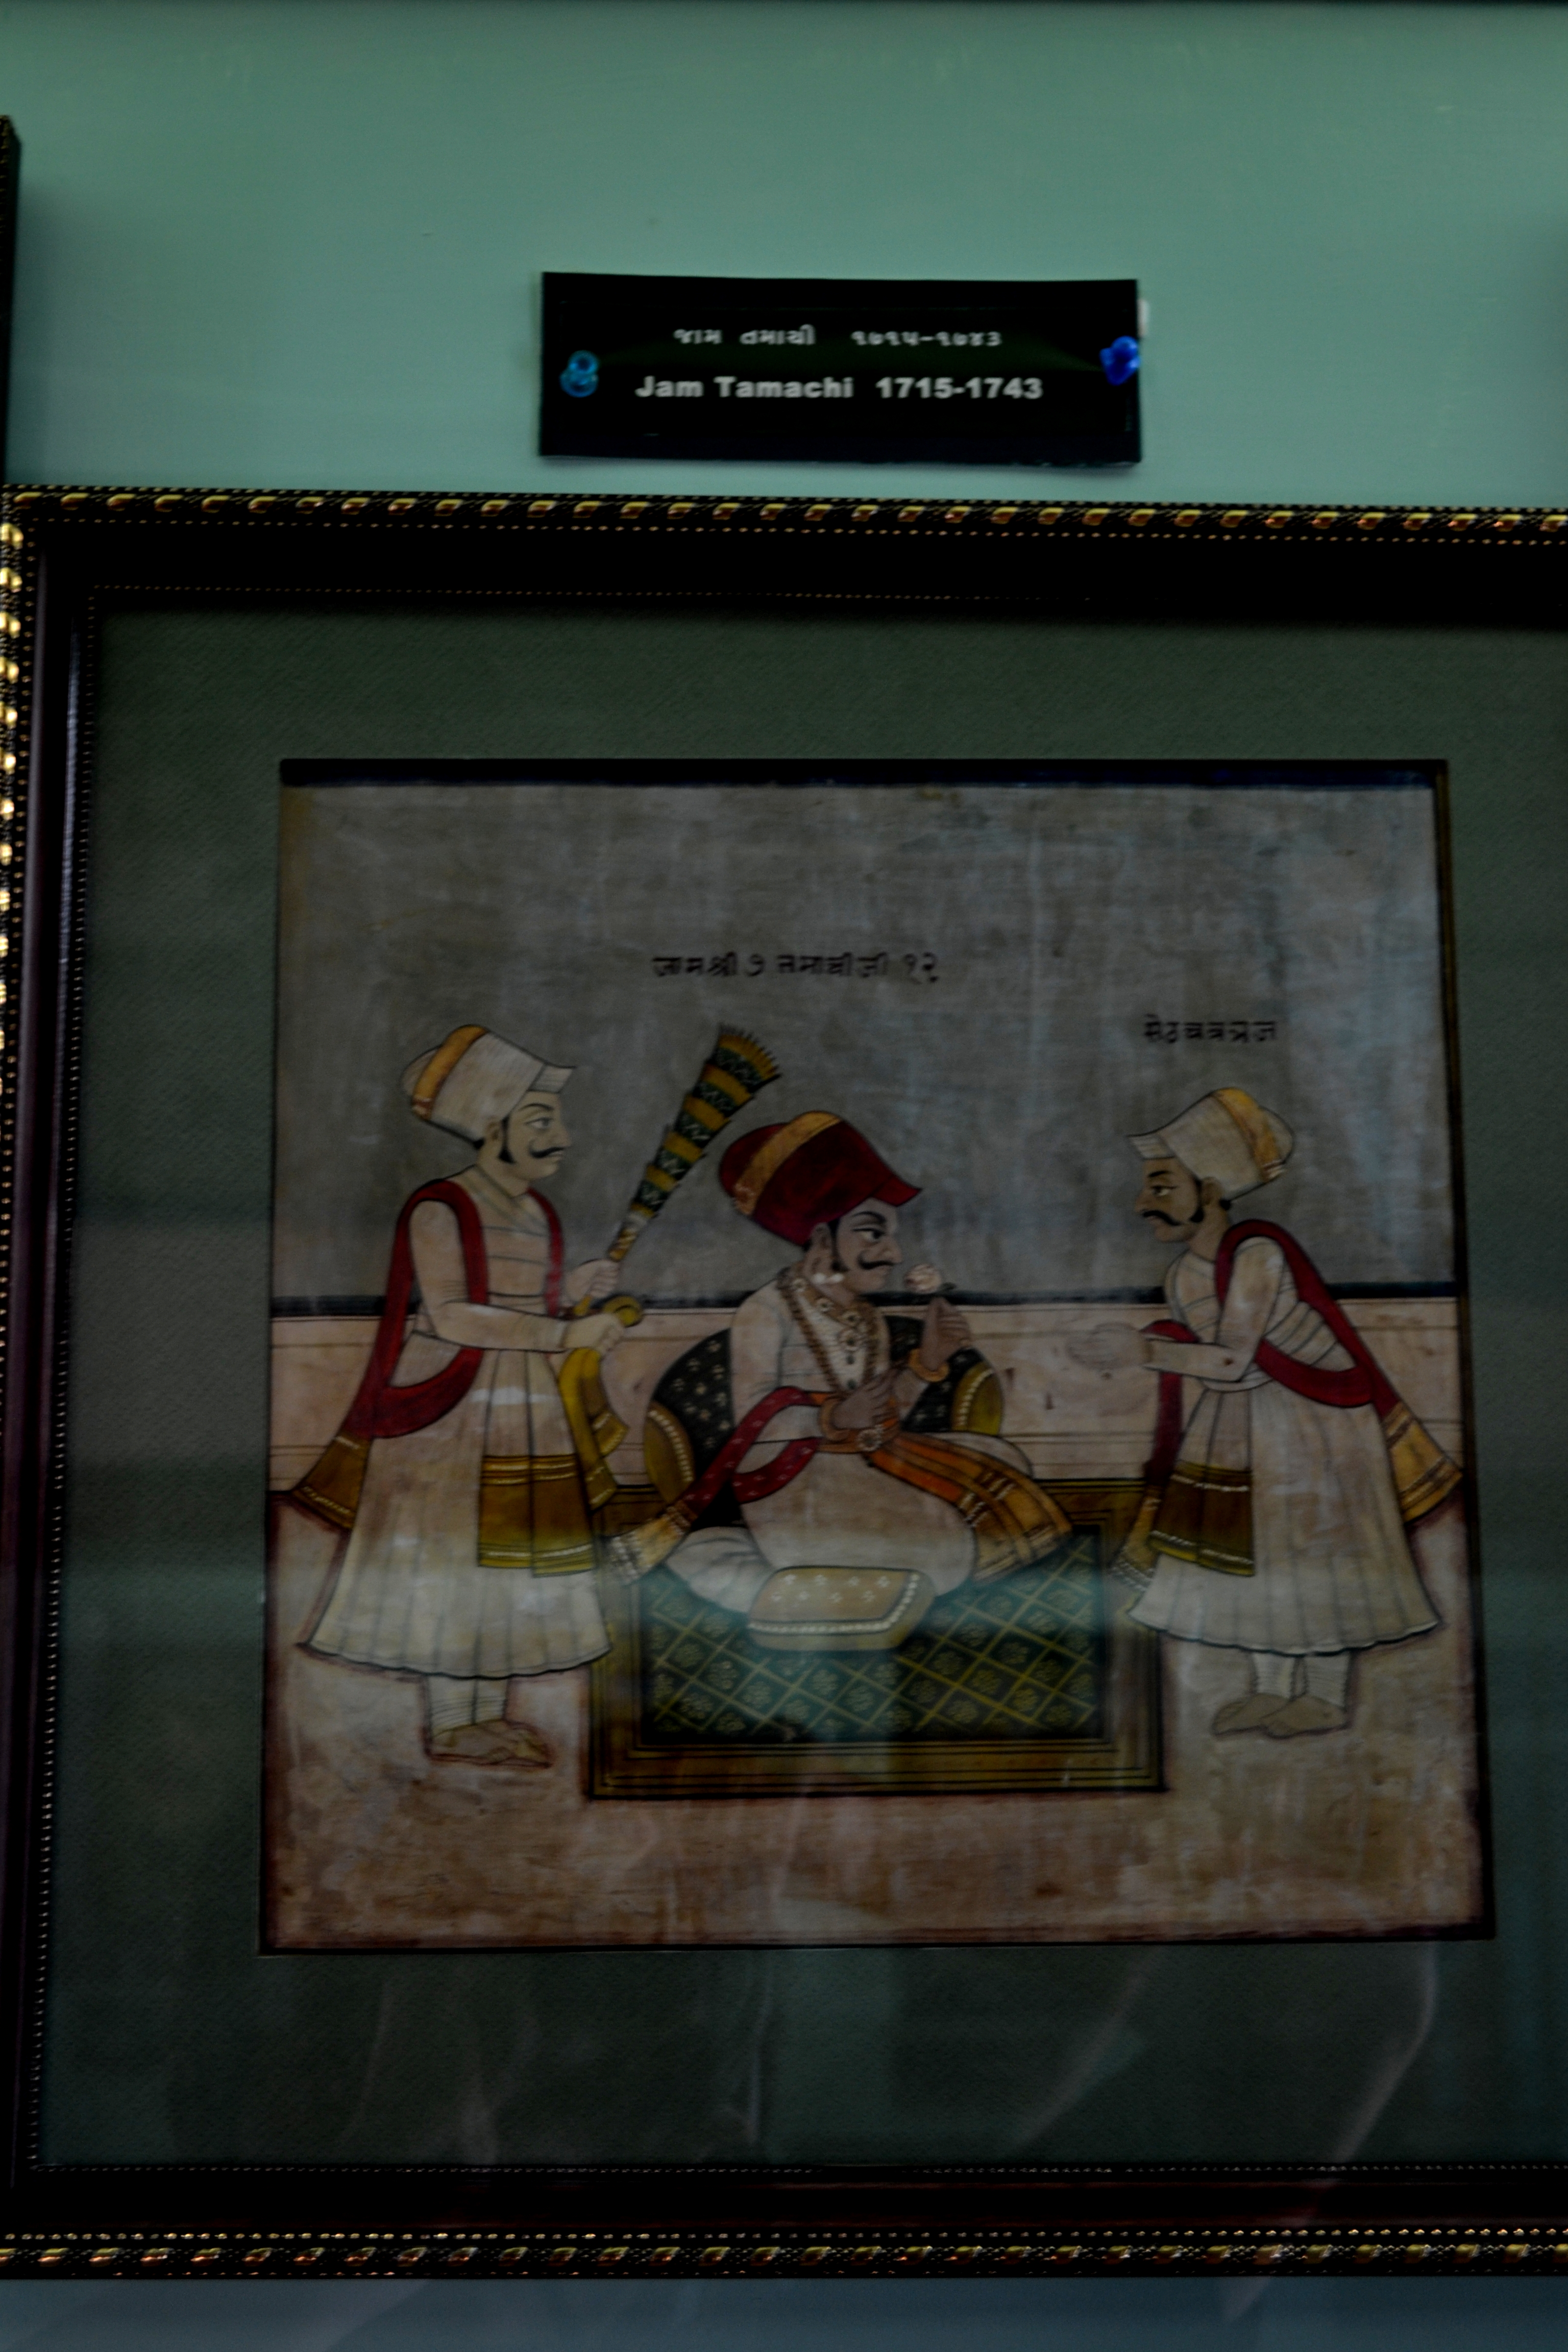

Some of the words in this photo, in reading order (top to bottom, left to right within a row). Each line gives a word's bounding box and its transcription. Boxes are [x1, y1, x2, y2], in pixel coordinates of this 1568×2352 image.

[737, 319, 814, 349] તમાચી
[848, 328, 999, 349] ૧૭૧૫-૧૭૪૩
[648, 382, 693, 401] an
[728, 376, 852, 405] amachi
[875, 376, 1042, 403] 1715-1743